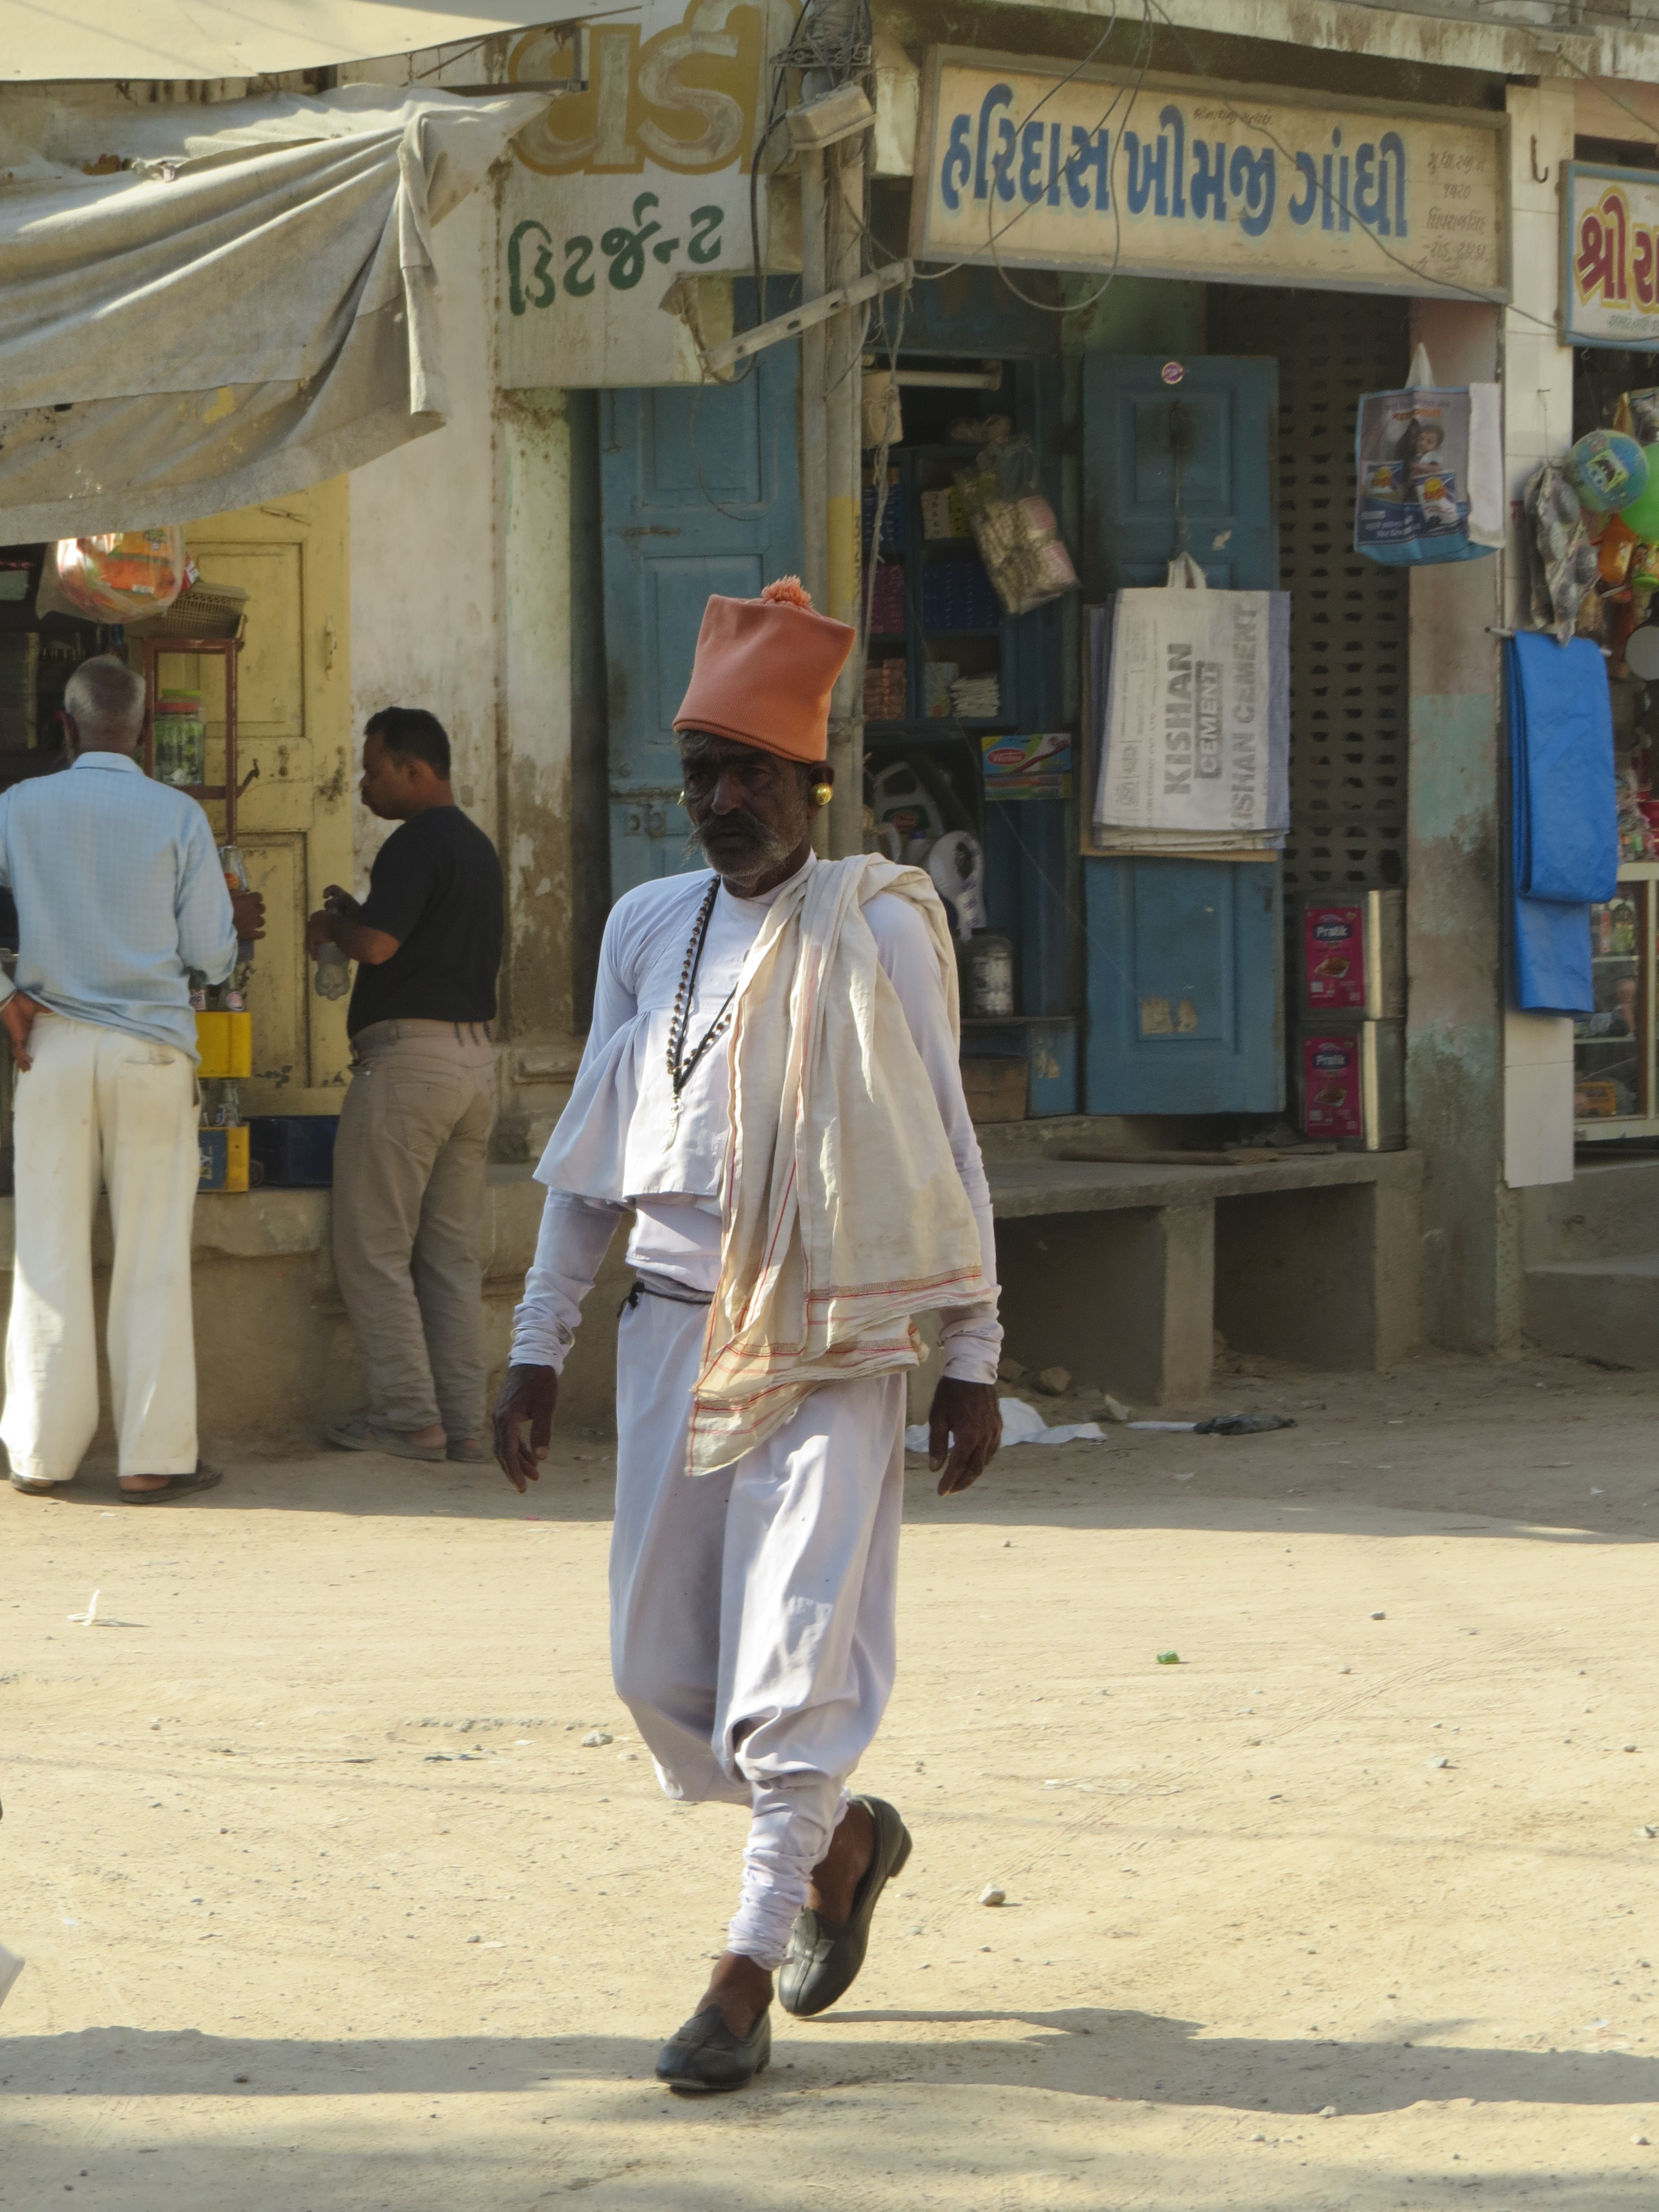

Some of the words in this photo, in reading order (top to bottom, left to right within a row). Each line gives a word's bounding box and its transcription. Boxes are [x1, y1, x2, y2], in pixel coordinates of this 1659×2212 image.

[503, 182, 733, 325] ડિટર્જન્ટ
[635, 0, 760, 175] ડ
[937, 79, 1117, 220] હરિદાસ
[1113, 97, 1283, 243] ખીમજી
[1281, 122, 1420, 247] ગાંધી
[1569, 183, 1629, 312] श्री
[1630, 220, 1655, 318] ૨
[1161, 637, 1196, 797] KISHAN
[1194, 660, 1220, 779] CEMENT
[1229, 728, 1256, 822] ISHAN
[1229, 594, 1257, 724] CEMENT